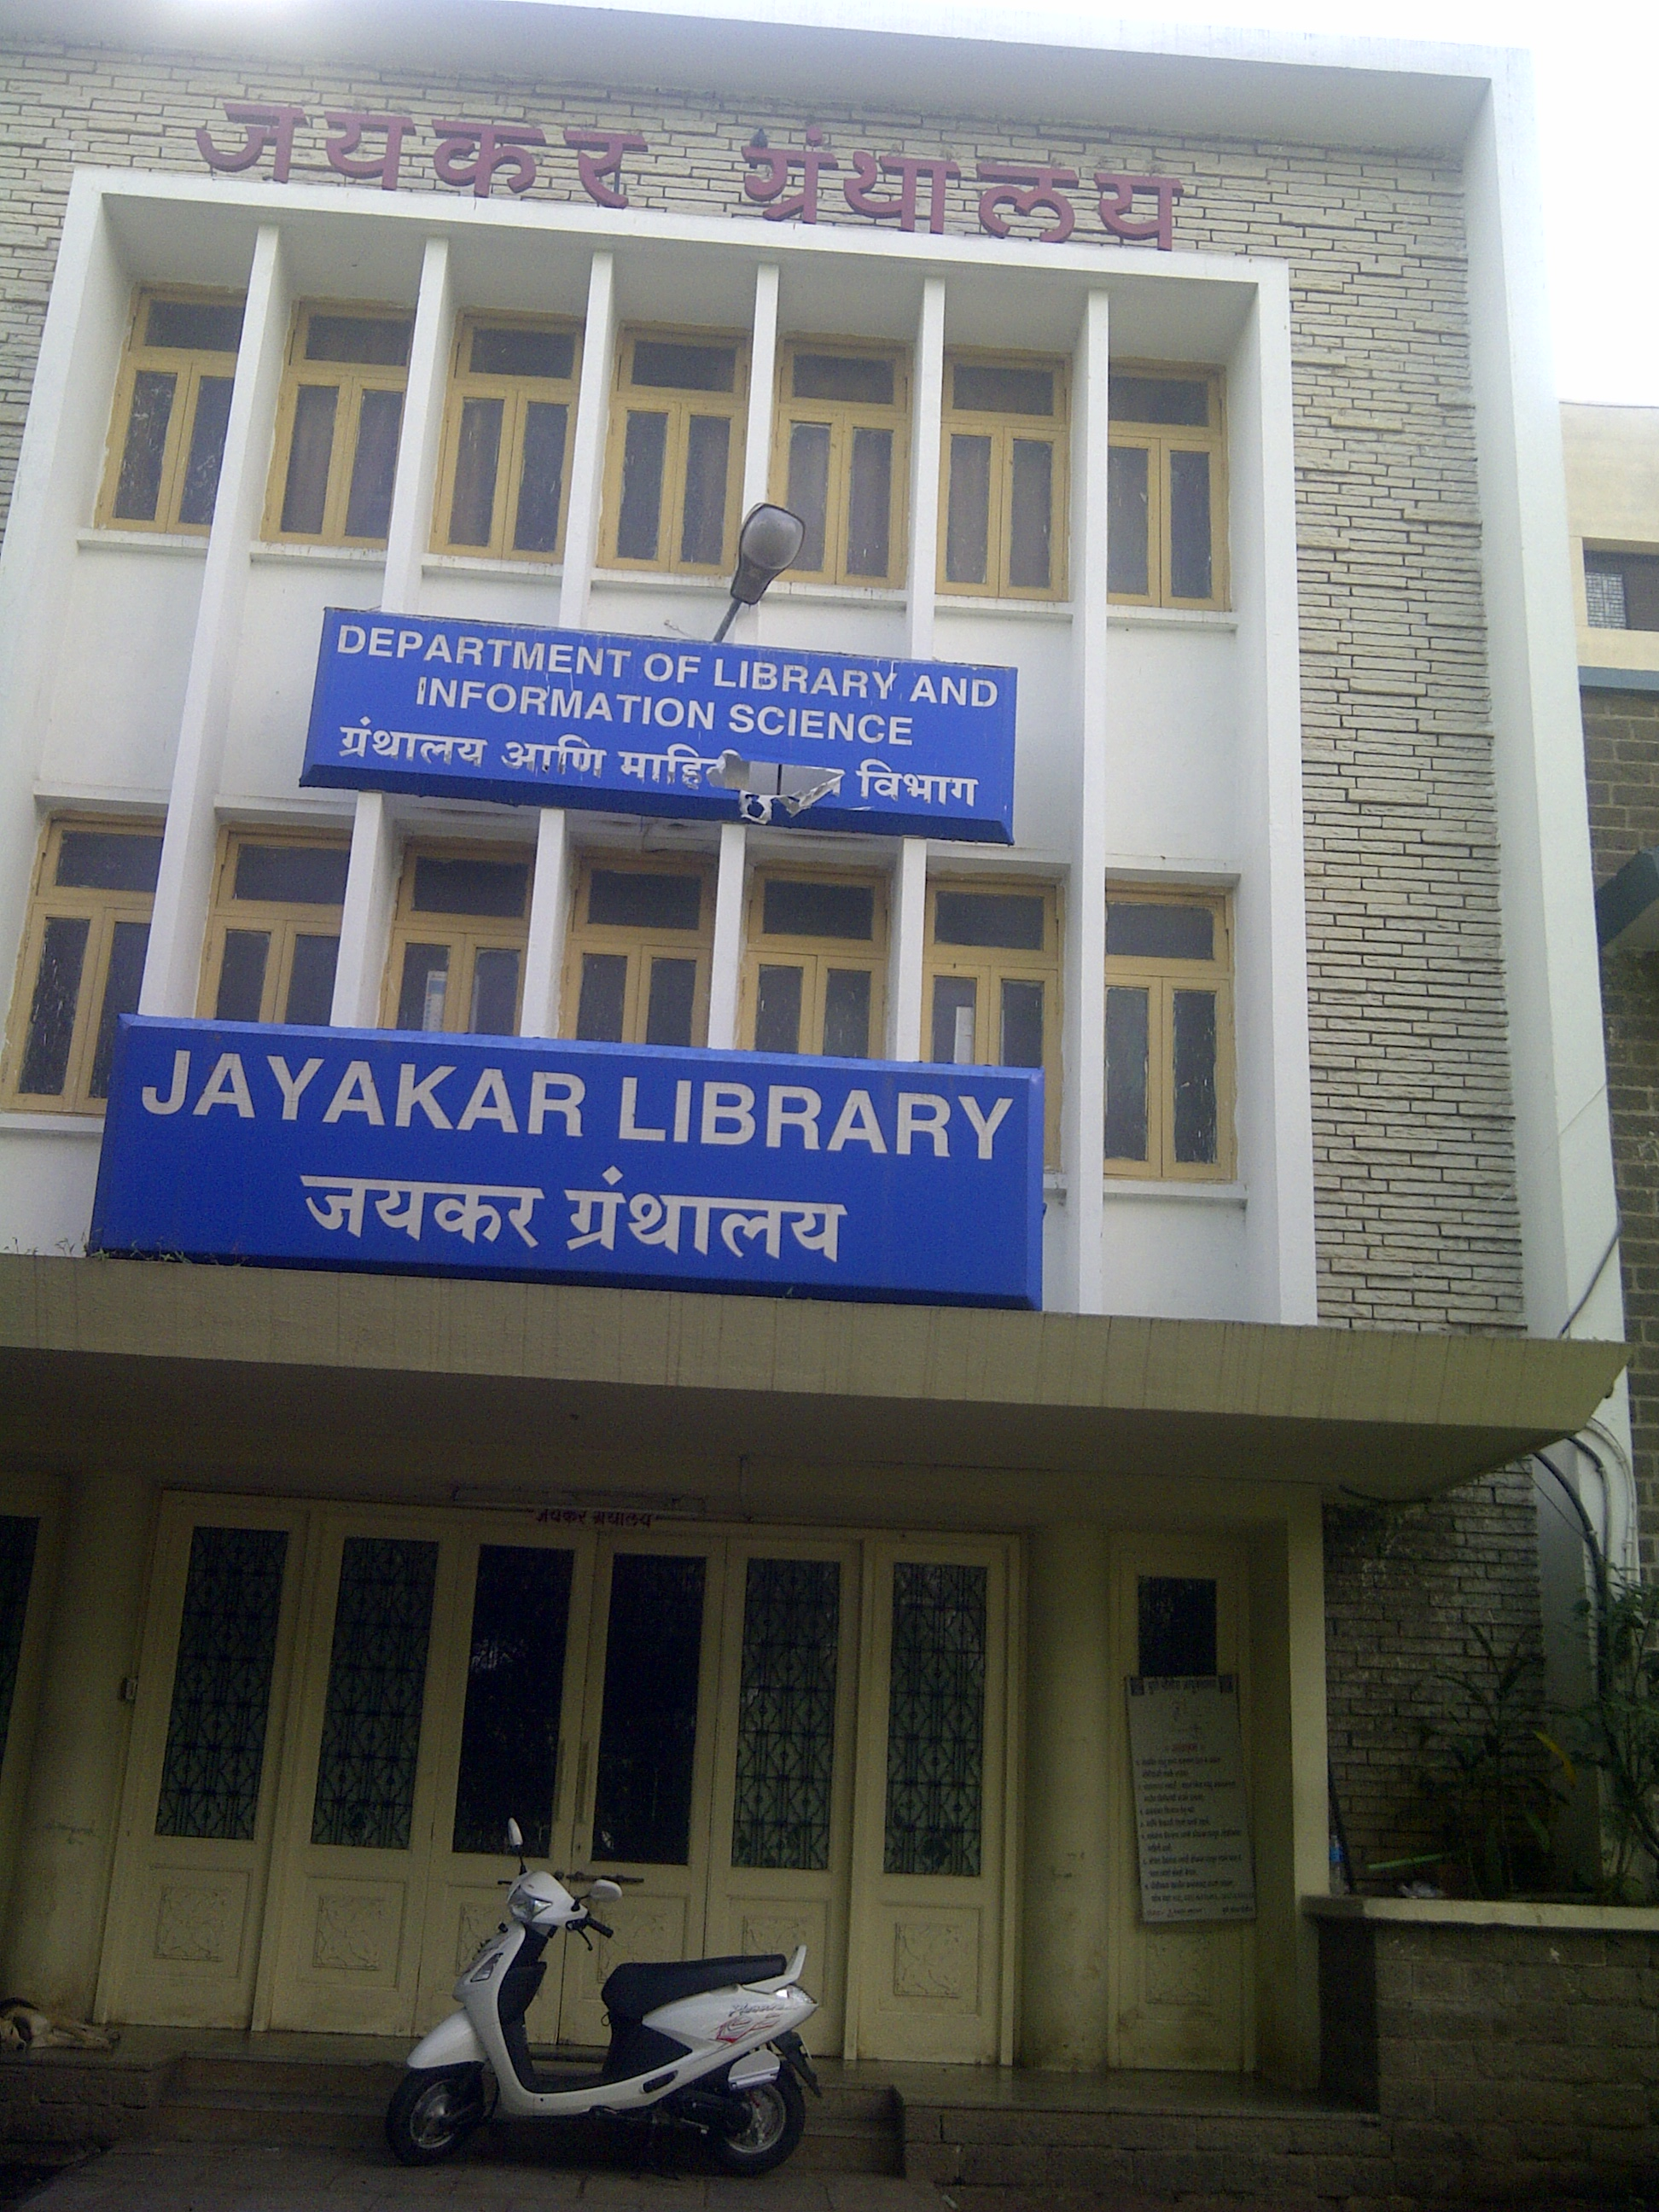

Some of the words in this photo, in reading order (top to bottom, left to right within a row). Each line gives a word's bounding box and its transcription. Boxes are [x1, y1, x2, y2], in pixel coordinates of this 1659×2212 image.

[183, 88, 653, 214] जयकर
[732, 115, 1194, 255] ग्रंथालय
[332, 709, 502, 771] ग्रंथालय
[332, 621, 634, 680] DEPARTMENT
[487, 725, 615, 781] आणि
[410, 673, 722, 735] INFORMATION
[637, 649, 701, 689] OF
[618, 734, 725, 795] माहिती
[699, 658, 901, 707] LIBRARY
[728, 698, 913, 745] SCIENCE
[848, 749, 984, 811] विभाग
[911, 671, 1001, 713] AND
[131, 1043, 595, 1143] JAYAKAR
[615, 1072, 1022, 1165] LIBRARY
[294, 1170, 548, 1254] जयकर
[562, 1152, 848, 1261] ग्रंथालय